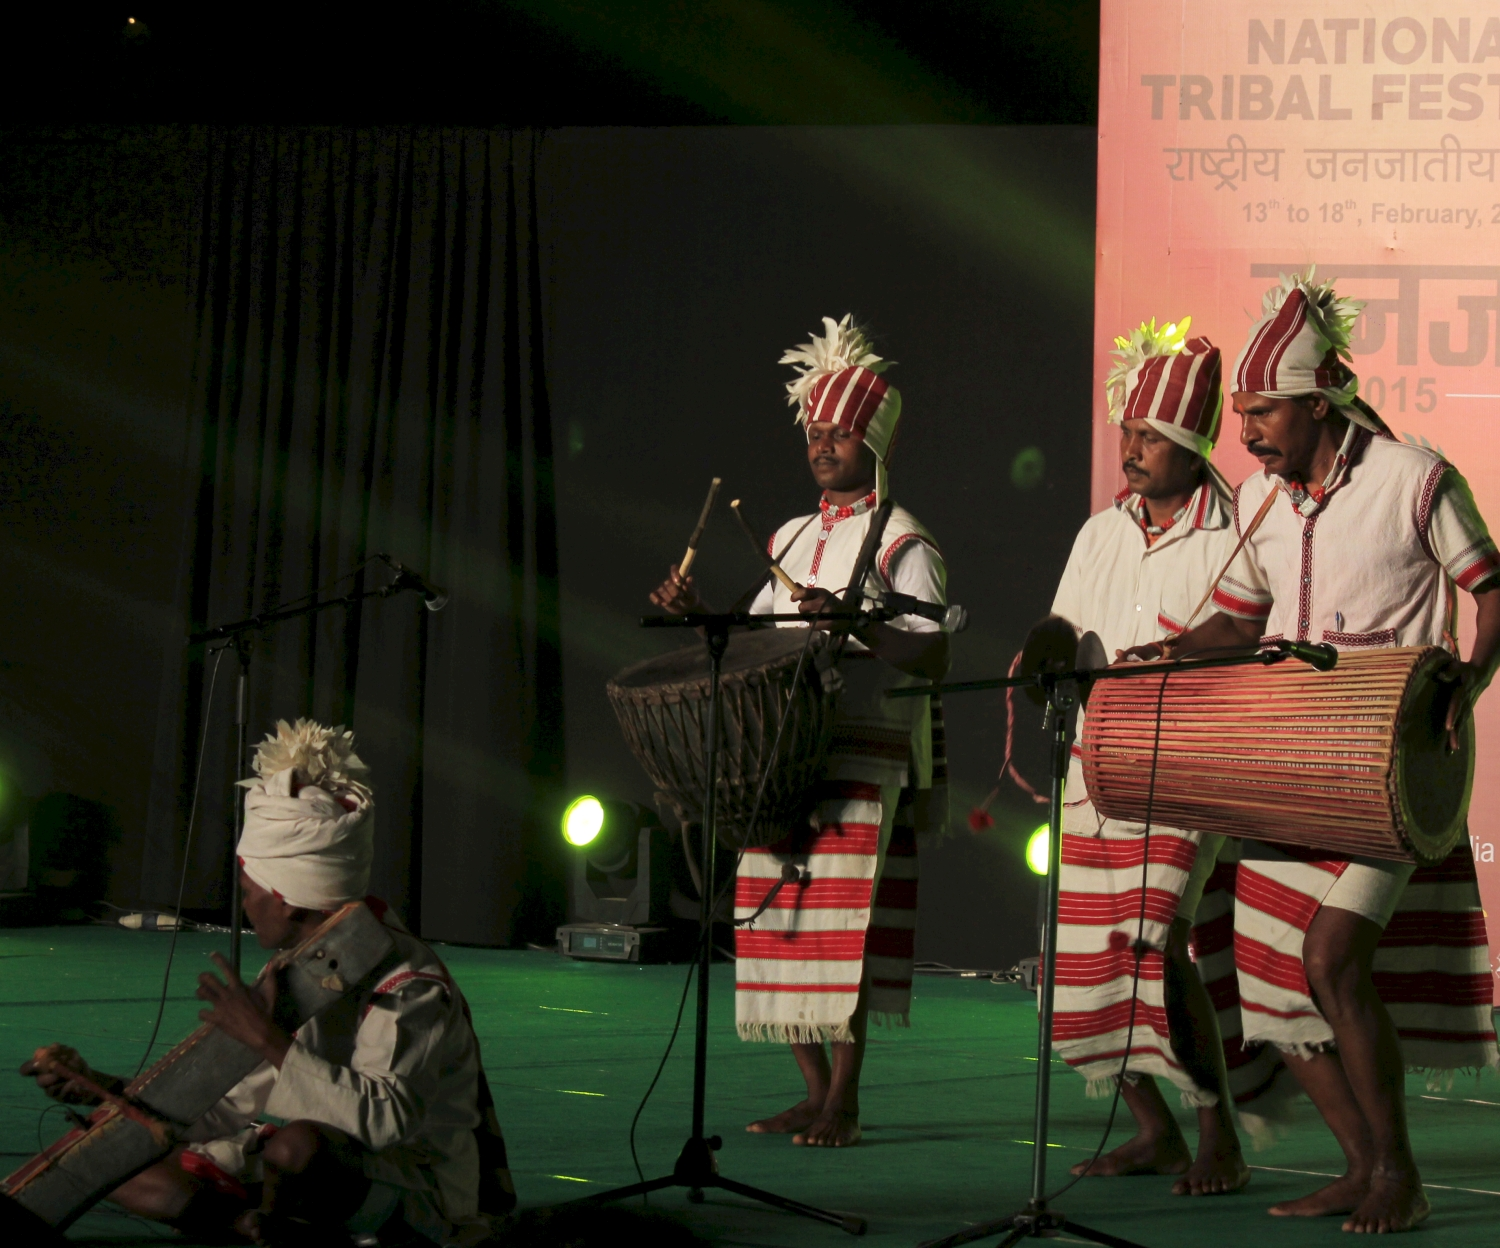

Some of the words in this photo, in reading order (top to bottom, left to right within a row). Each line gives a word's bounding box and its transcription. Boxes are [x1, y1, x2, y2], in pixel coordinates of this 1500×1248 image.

[1239, 10, 1488, 70] NATION
[1140, 70, 1356, 121] TRIBAL
[1364, 61, 1490, 125] FES
[1163, 129, 1287, 195] राष्ट्रीय
[1303, 126, 1497, 186] जनजातीय
[1239, 192, 1287, 228] 13th
[1277, 197, 1314, 229] to
[1314, 194, 1362, 228] 18th
[1370, 195, 1485, 233] February